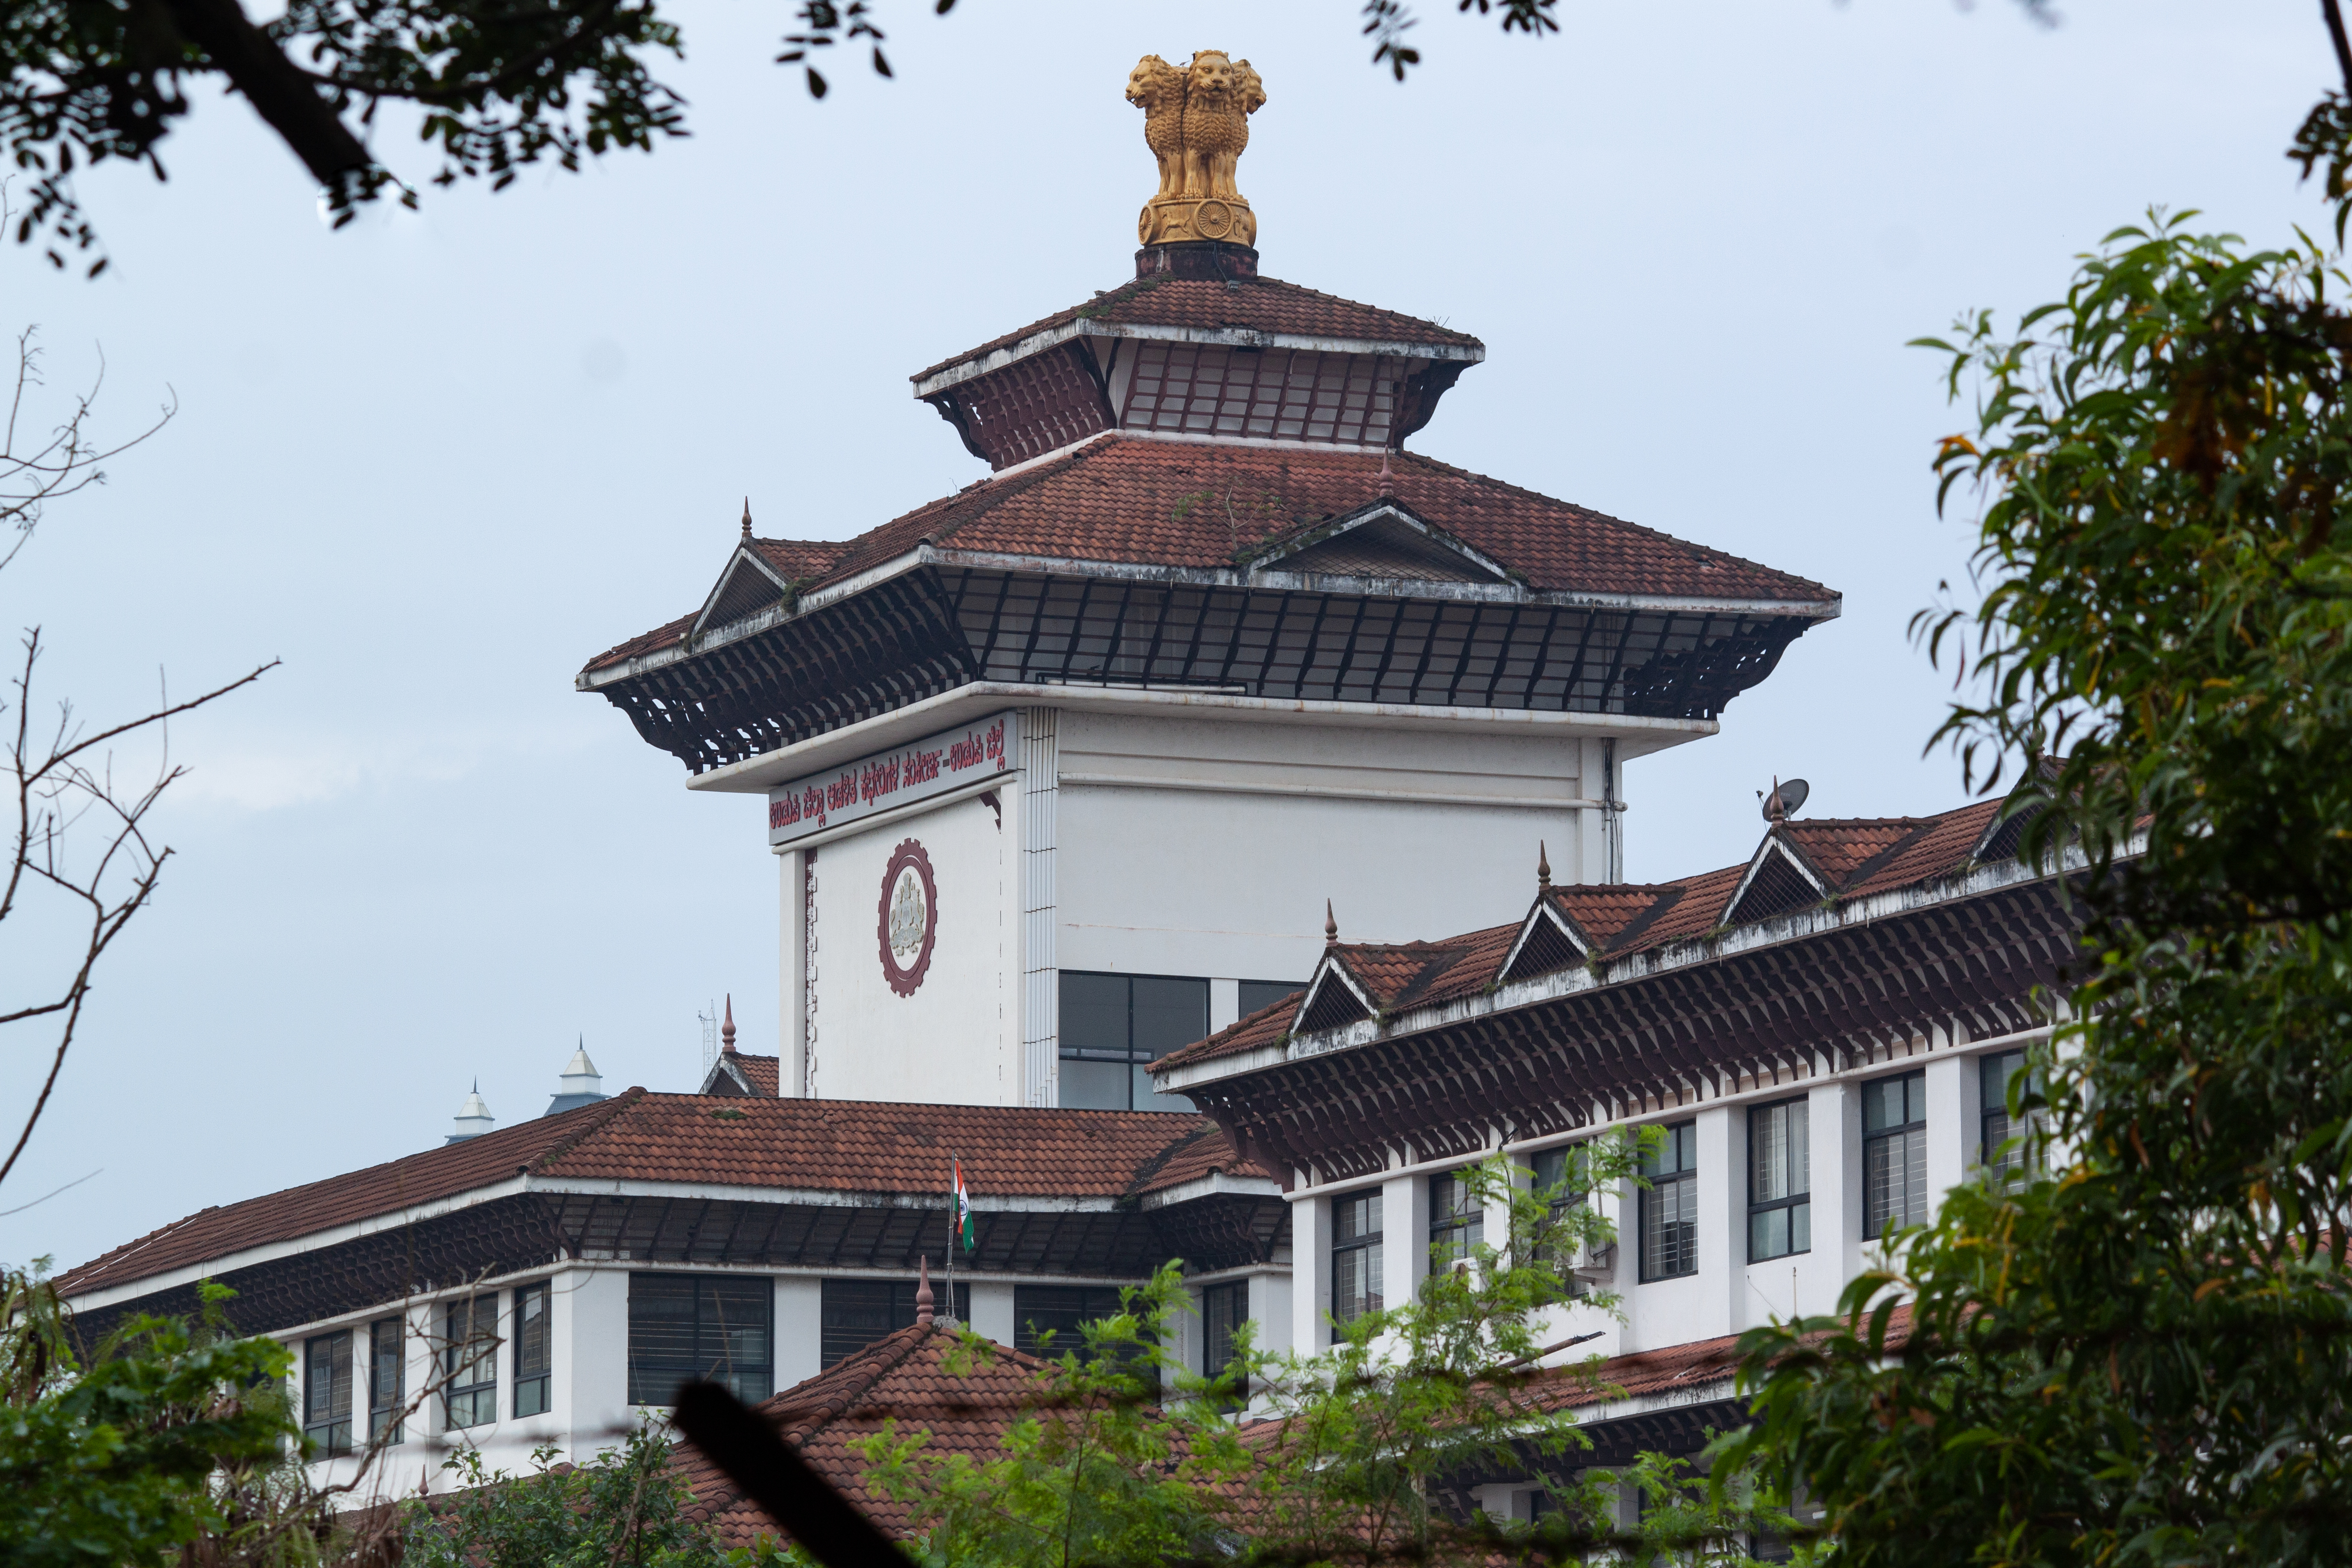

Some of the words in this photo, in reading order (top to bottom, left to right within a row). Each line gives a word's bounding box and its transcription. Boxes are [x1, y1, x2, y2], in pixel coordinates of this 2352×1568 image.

[767, 788, 802, 832] ಉಡುಪಿ
[798, 780, 828, 829] ಜಿಲ್ಲಾ
[823, 767, 860, 813] ಆಡಳಿತ
[856, 753, 900, 809] ಕಛೇರಿಗಳ
[899, 747, 943, 788] ಸಂಕೀರ್ಣ
[947, 729, 986, 775] ಉಡುಪಿ
[979, 717, 1008, 773] ಜಲ್ಲೆ